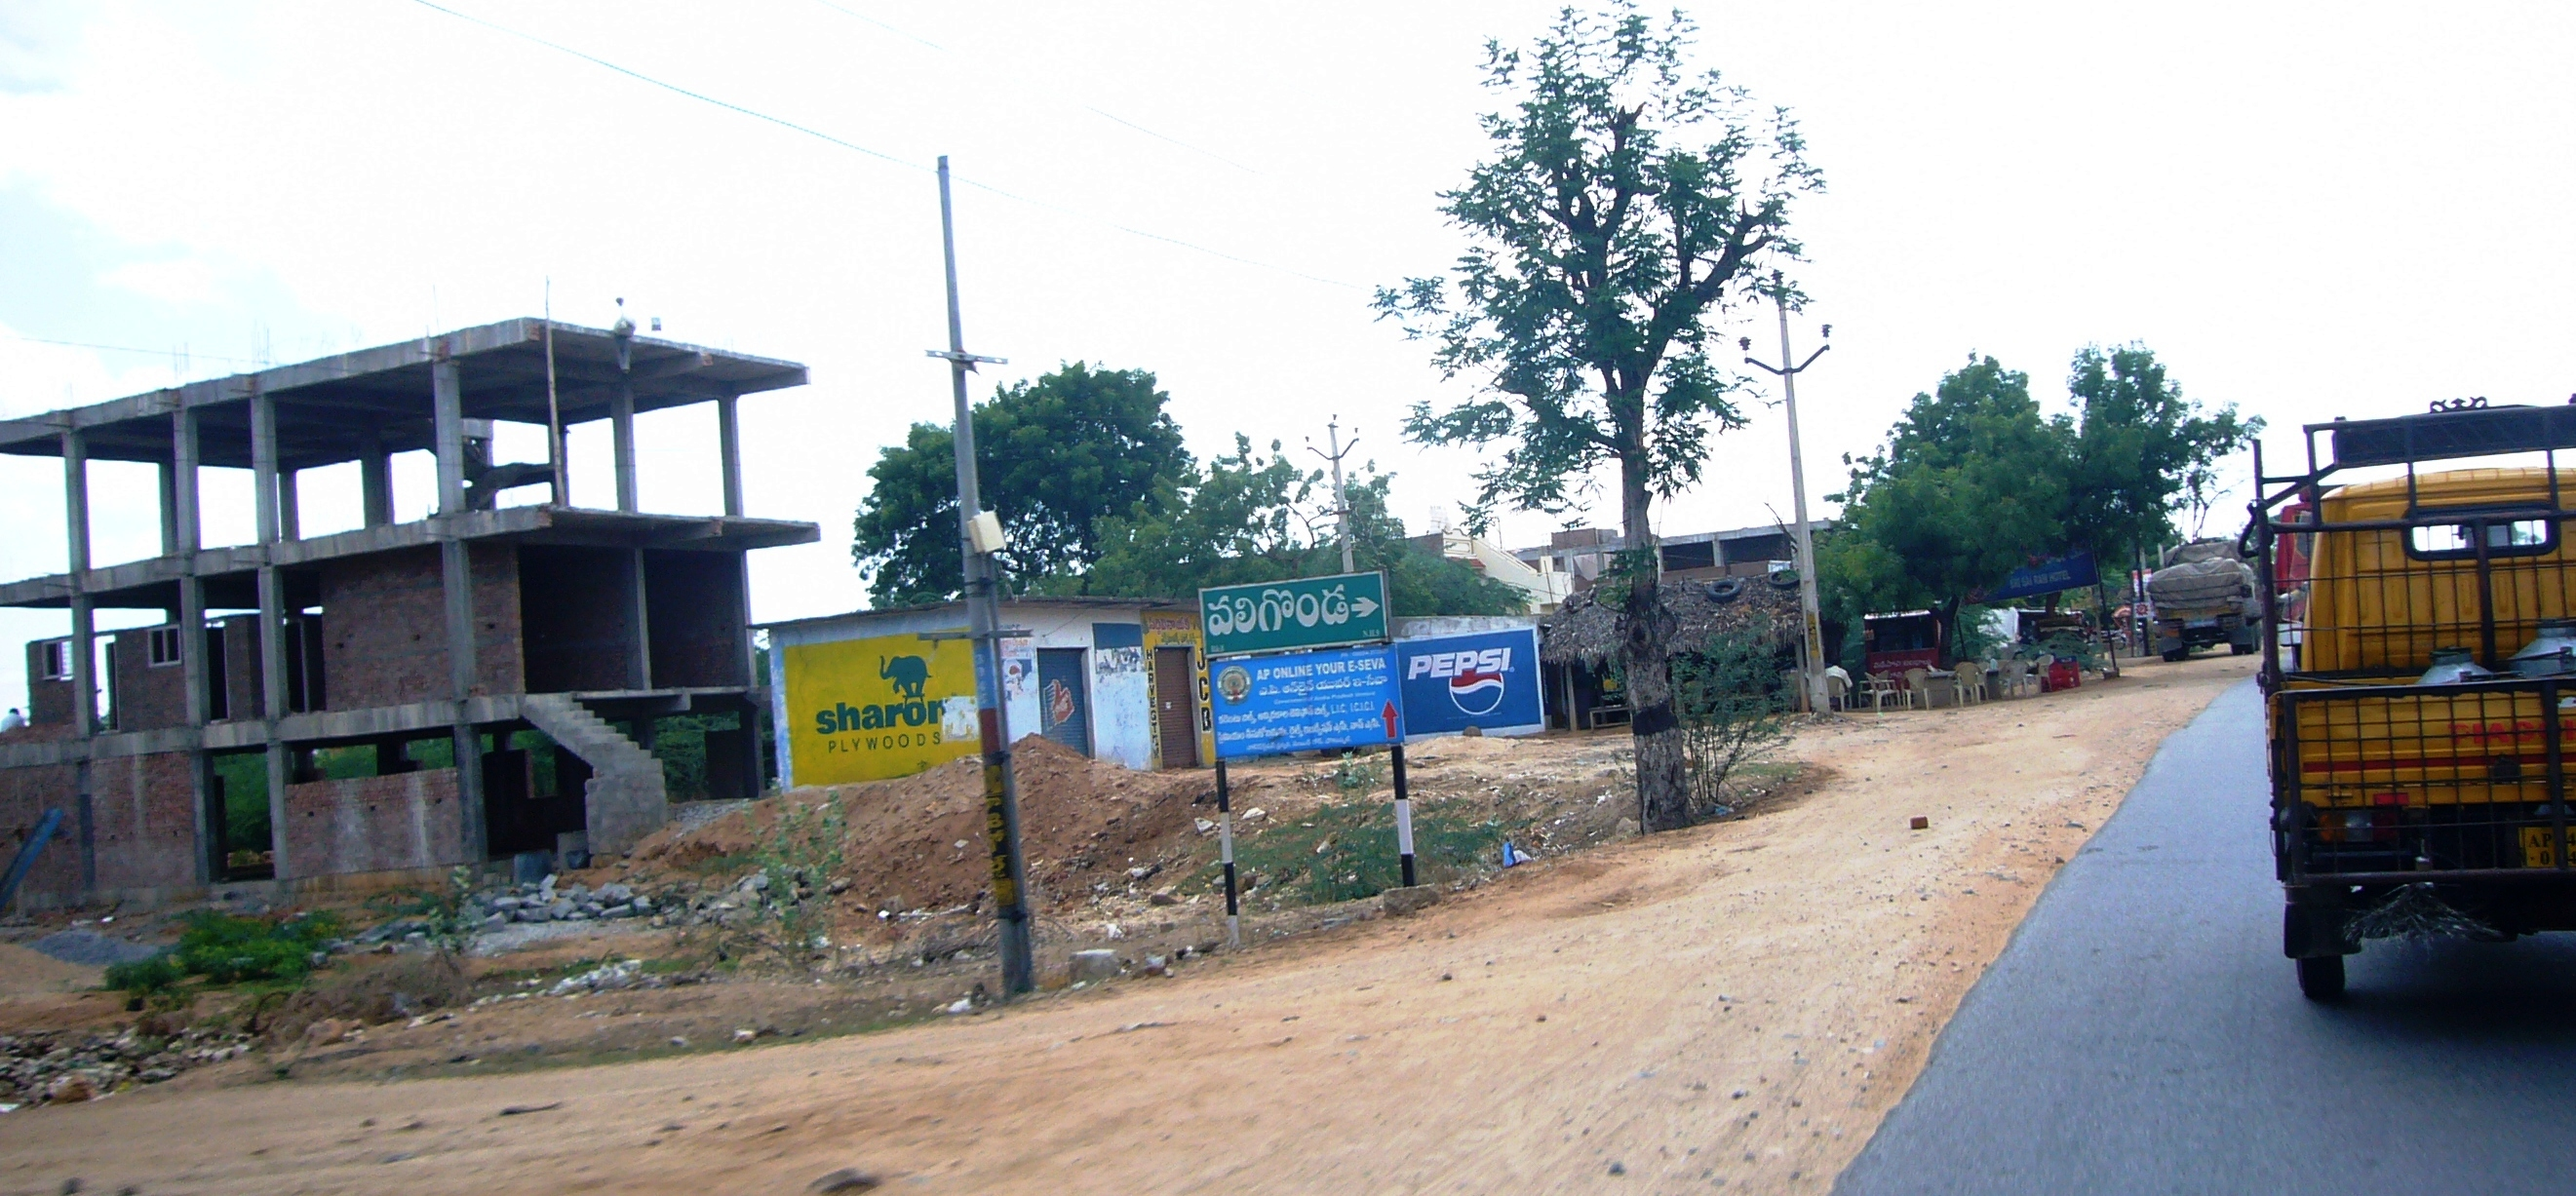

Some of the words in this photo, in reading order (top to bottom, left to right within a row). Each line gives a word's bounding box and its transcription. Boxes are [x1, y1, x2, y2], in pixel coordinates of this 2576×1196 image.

[1198, 578, 1353, 640] వలిగొండ
[1248, 665, 1275, 685] AP
[1270, 660, 1315, 683] ONLINE
[1276, 675, 1319, 700] ఆసలైన్
[1311, 656, 1350, 681] YOUR
[1343, 652, 1391, 675] E-SEVA
[1405, 642, 1516, 685] PEPSI.
[809, 692, 956, 737] sharon
[1327, 701, 1350, 720] LIC,
[826, 726, 945, 755] PLYWOODS